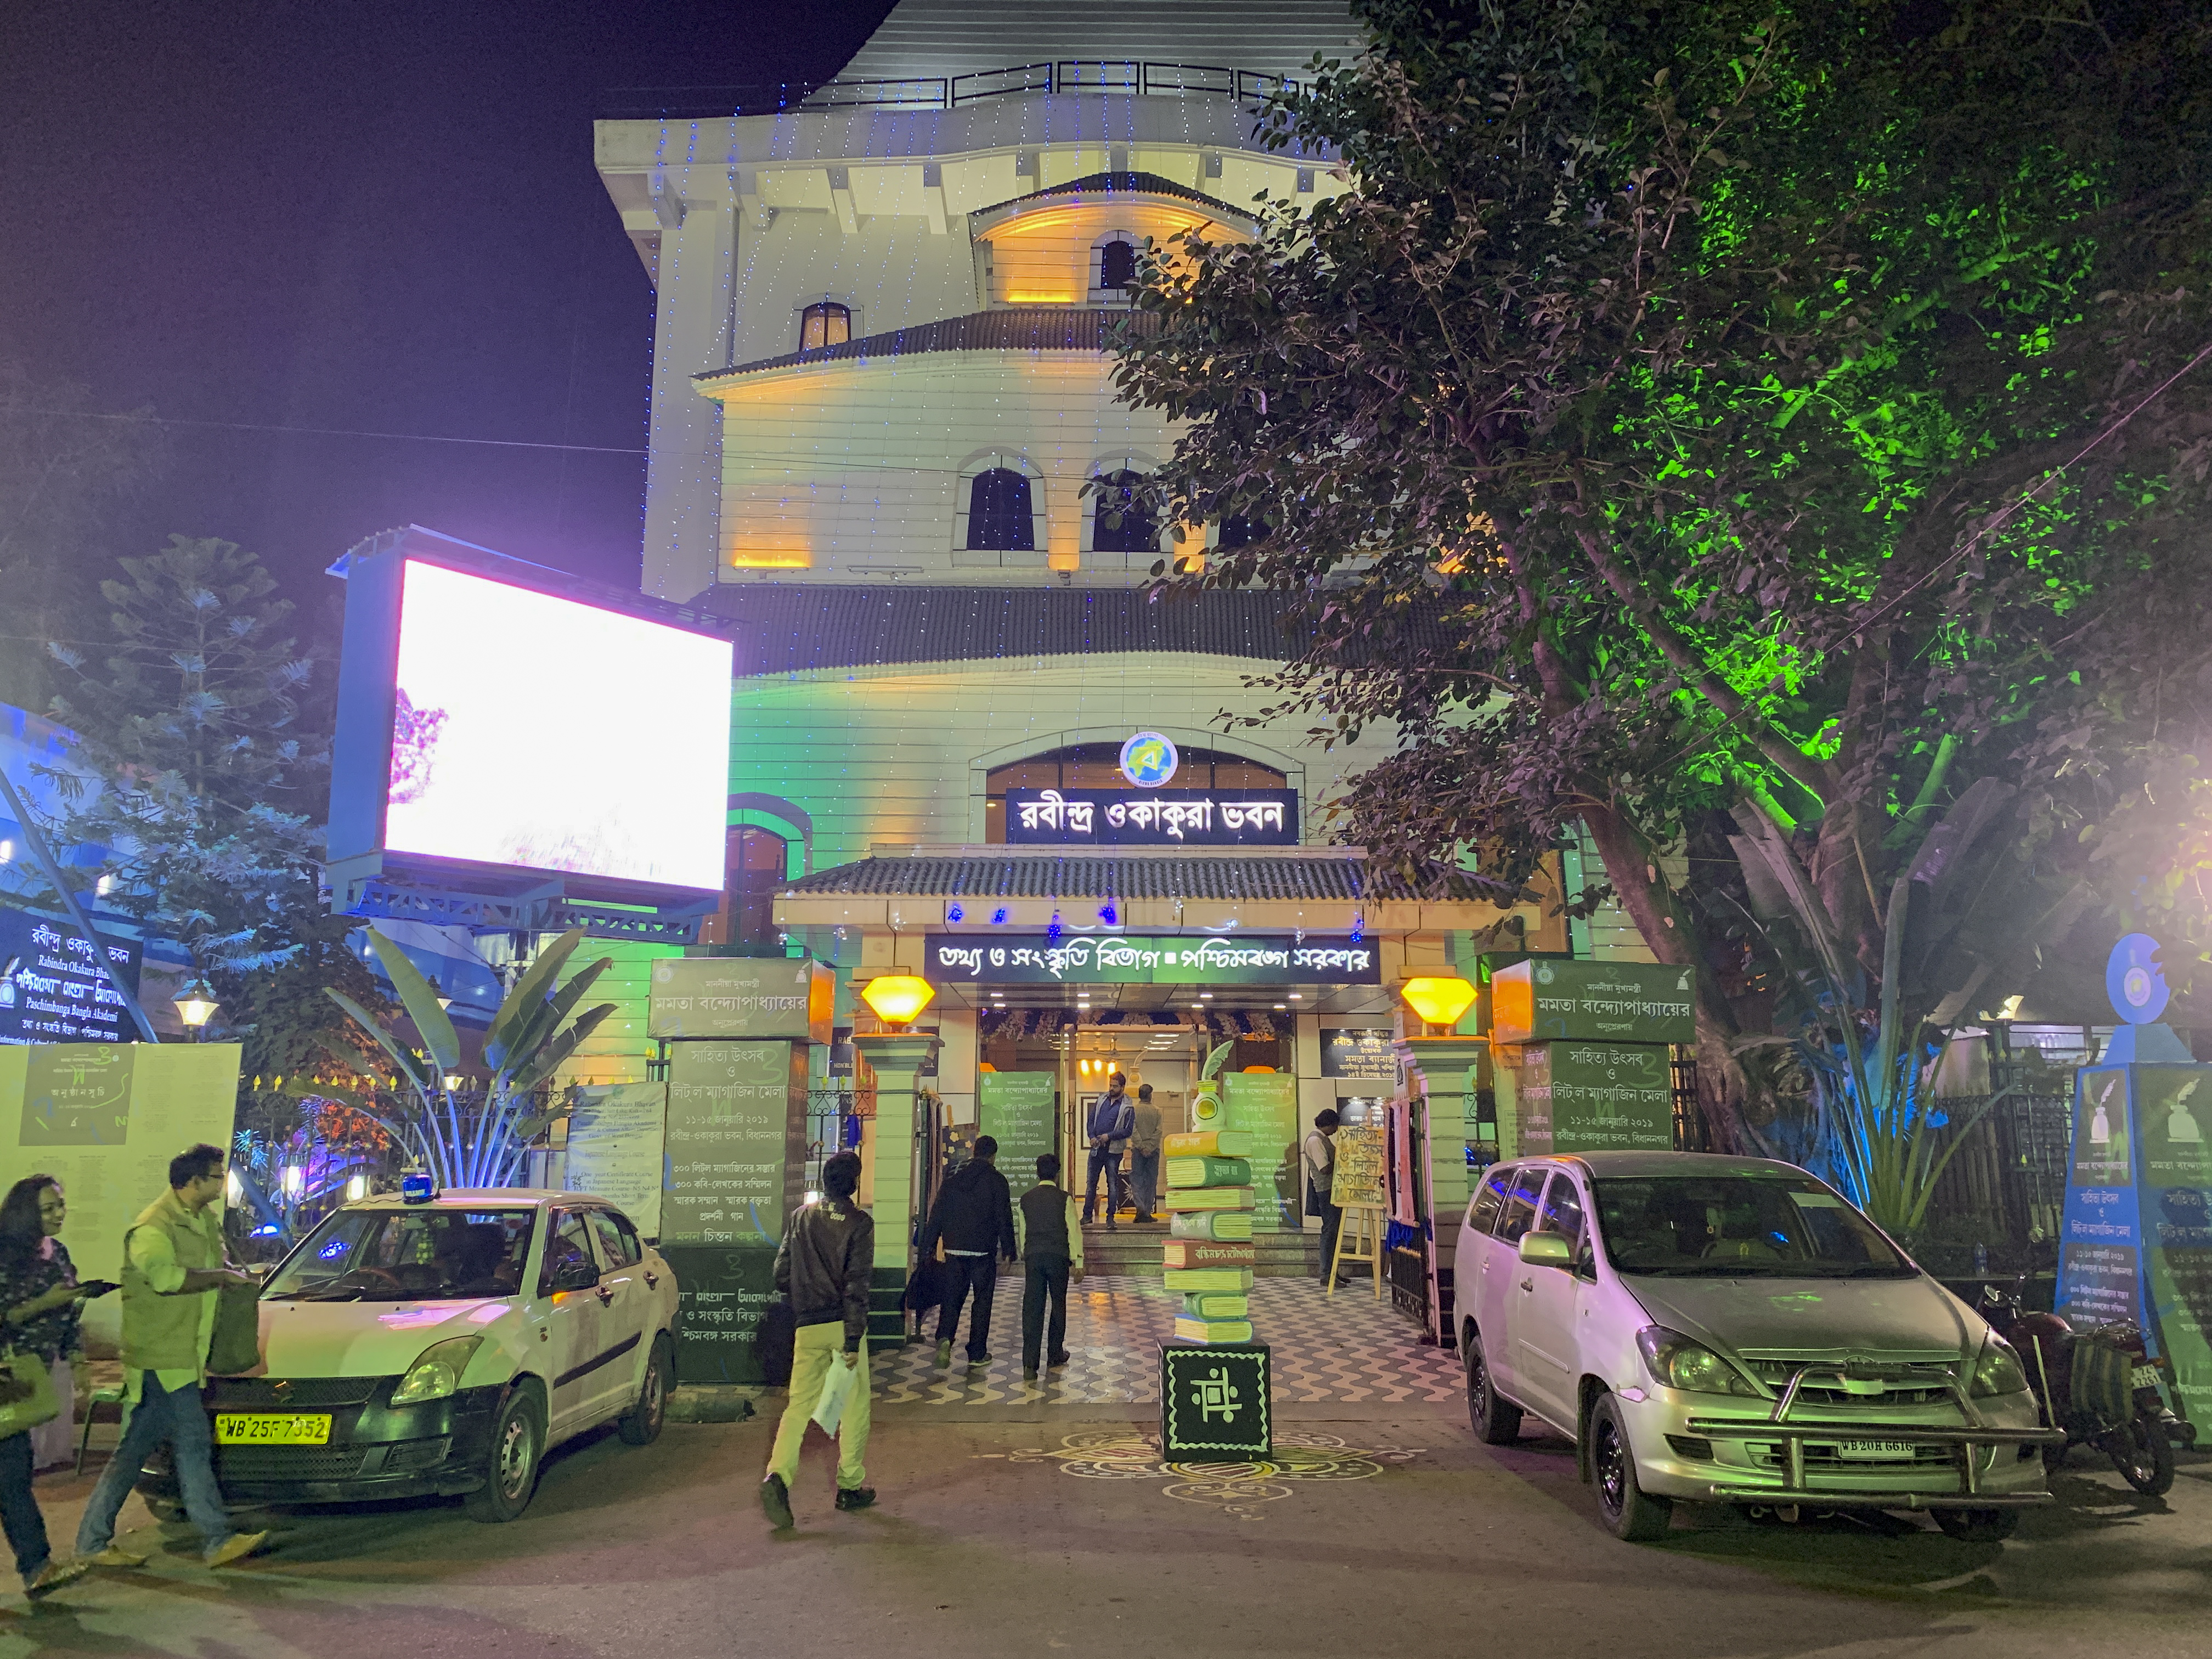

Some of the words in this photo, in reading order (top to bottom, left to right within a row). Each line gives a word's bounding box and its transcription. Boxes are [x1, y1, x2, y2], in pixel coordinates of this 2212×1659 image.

[1010, 783, 1102, 838] রবীন্দ্র
[1098, 791, 1219, 848] ওকাকুরা
[1215, 796, 1288, 839] ভবন
[20, 919, 64, 955] রবীন্দ্র্র
[33, 951, 70, 972] Rabindra
[65, 957, 96, 979] Okakura
[106, 941, 133, 967] ভবন
[929, 939, 987, 982] তথ্য
[984, 941, 1015, 973] ও
[1006, 933, 1166, 985] সংস্কৃতি বিভাগ
[1175, 932, 1295, 973] পশ্চিমবঙ্গ
[1286, 940, 1373, 975] সরকার
[9, 961, 60, 995] পশ্চিমবঙ্গ
[60, 977, 98, 1002] বাংলা
[703, 973, 735, 991] মাননীয়া
[731, 975, 766, 994] মুখ্যমন্ত্রী
[1583, 978, 1618, 994] মাননীয়া
[1611, 979, 1645, 996] মুখ্যমন্ত্রী
[18, 1016, 38, 1032] তথা
[27, 1018, 64, 1036] ও সংস্কৃতি
[23, 995, 75, 1020] PaschimbangaB
[57, 1018, 80, 1037] বিভাগ
[67, 1001, 96, 1022] Bangla
[77, 1022, 122, 1043] পশ্চিমবঙ্গ সরকার
[93, 1006, 122, 1023] Akademi
[651, 993, 698, 1012] মমতা
[712, 1017, 752, 1031] অনুপ্রেরণায়
[697, 991, 810, 1013] বন্দ্যোপাধ্যায়ের
[1328, 1031, 1357, 1049] রবীন্দ্র
[1353, 1035, 1391, 1050] ওকাকুরা
[1536, 995, 1579, 1015] মমতা
[1593, 1020, 1634, 1033] অনূপ্রেরণায়
[1579, 997, 1693, 1019] বন্দ্যোপাধ্যায়ের
[687, 1041, 731, 1064] সাহিত্য
[720, 1062, 743, 1082] ও
[726, 1042, 768, 1065] উৎসব
[1335, 1057, 1362, 1073] মাননীয়া
[1344, 1050, 1367, 1064] মমতা
[1359, 1061, 1383, 1072] মুখ্যমন্ত্রী
[1367, 1051, 1400, 1065] ব্যানার্জ
[1567, 1044, 1609, 1068] সাহিত্য
[1601, 1067, 1618, 1084] ও
[1605, 1042, 1644, 1067] উৎসব
[45, 1084, 110, 1099] অ নু ষ্ঠা ন সূ চি
[578, 1097, 609, 1109] Rabindra
[607, 1097, 635, 1109] Okakura
[631, 1096, 660, 1110] Bhavan
[668, 1124, 692, 1144] রবীন্দ্র
[666, 1075, 706, 1105] লিট্ল
[681, 1111, 716, 1128] ১১-১৫
[693, 1127, 724, 1146] ওকাকুরা
[713, 1111, 747, 1131] জানুয়ারি
[704, 1080, 758, 1103] ম্যাগাজিন
[720, 1126, 746, 1143] ভবন,
[744, 1112, 772, 1127] ২০১৯
[743, 1125, 785, 1142] বিধাননগর
[757, 1082, 788, 1103] মেলা
[984, 1084, 1006, 1097] মমতা
[998, 1099, 1020, 1112] সার্হিত্য
[991, 1116, 1031, 1129] লিট্ল ম্যাগাজিন
[1015, 1101, 1035, 1114] উৎসব
[1005, 1082, 1050, 1096] বন্দ্যোপাধ্যায়ের
[1026, 1116, 1047, 1128] মেলা
[1224, 1084, 1246, 1098] মমতা
[1239, 1104, 1261, 1118] সাহিত্য
[1245, 1084, 1292, 1097] বন্দ্যোপাধ্যায়ের
[1270, 1119, 1288, 1129] মেলা
[1340, 1125, 1379, 1145] সাহিত্য
[1551, 1125, 1582, 1143] রবীন্দ্র-
[1547, 1078, 1587, 1104] লিট্ল
[1567, 1113, 1599, 1130] ১১-১৫
[1576, 1130, 1611, 1147] ওকাকুরা
[1587, 1082, 1638, 1102] ম্যাগাজিন
[1596, 1111, 1631, 1130] জানুয়ারি
[1609, 1131, 1629, 1144] ভবন
[1628, 1115, 1656, 1130] ২০১৯
[1627, 1128, 1670, 1146] বিধাননগর
[1637, 1087, 1671, 1107] মেলা
[670, 1158, 693, 1176] ৩০০
[688, 1157, 715, 1176] লিট্ল
[709, 1158, 758, 1177] ম্যাগাজিনের
[754, 1161, 781, 1175] সম্ভার
[1346, 1152, 1381, 1177] লিট্ল
[2147, 1155, 2176, 1173] মমতা
[2176, 1158, 2210, 1171] বন্দ্যোপা
[672, 1176, 695, 1192] ৩০০
[672, 1192, 698, 1209] স্মারক
[692, 1173, 712, 1192] কবি-
[696, 1190, 723, 1207] সম্মান
[709, 1173, 747, 1192] লেখকের
[722, 1193, 749, 1207] স্মারক
[741, 1173, 774, 1193] সম্মিলন
[747, 1192, 774, 1210] বক্তৃতা
[1338, 1170, 1383, 1189] ম্যাগাজিন
[1343, 1184, 1380, 1202] মেলা.
[2077, 1183, 2104, 1206] সাহিত্য
[2098, 1188, 2121, 1207] উৎসব
[2163, 1186, 2203, 1209] সাহিত্য
[674, 1227, 702, 1244] মনন
[697, 1205, 725, 1223] প্রদর্শনী
[698, 1223, 735, 1245] চিন্তন
[727, 1209, 748, 1224] গান
[732, 1226, 768, 1244] কল্পনা
[2069, 1212, 2091, 1238] লিট্ল
[2087, 1218, 2118, 1238] ম্যাগাজিন
[2114, 1223, 2135, 1240] মেলা
[2152, 1218, 2190, 1244] লিট্ল
[1192, 1244, 1229, 1262] বঙ্কিমচর।
[690, 1289, 737, 1305] বাংলা
[733, 1287, 789, 1307] আকাদেরি
[694, 1304, 739, 1329] সংস্কৃতি
[732, 1305, 774, 1327] বিভাগ
[676, 1323, 719, 1346] শ্চিমবঙ্গ
[718, 1328, 760, 1345] সরকার
[217, 1414, 332, 1443] WB25F7352